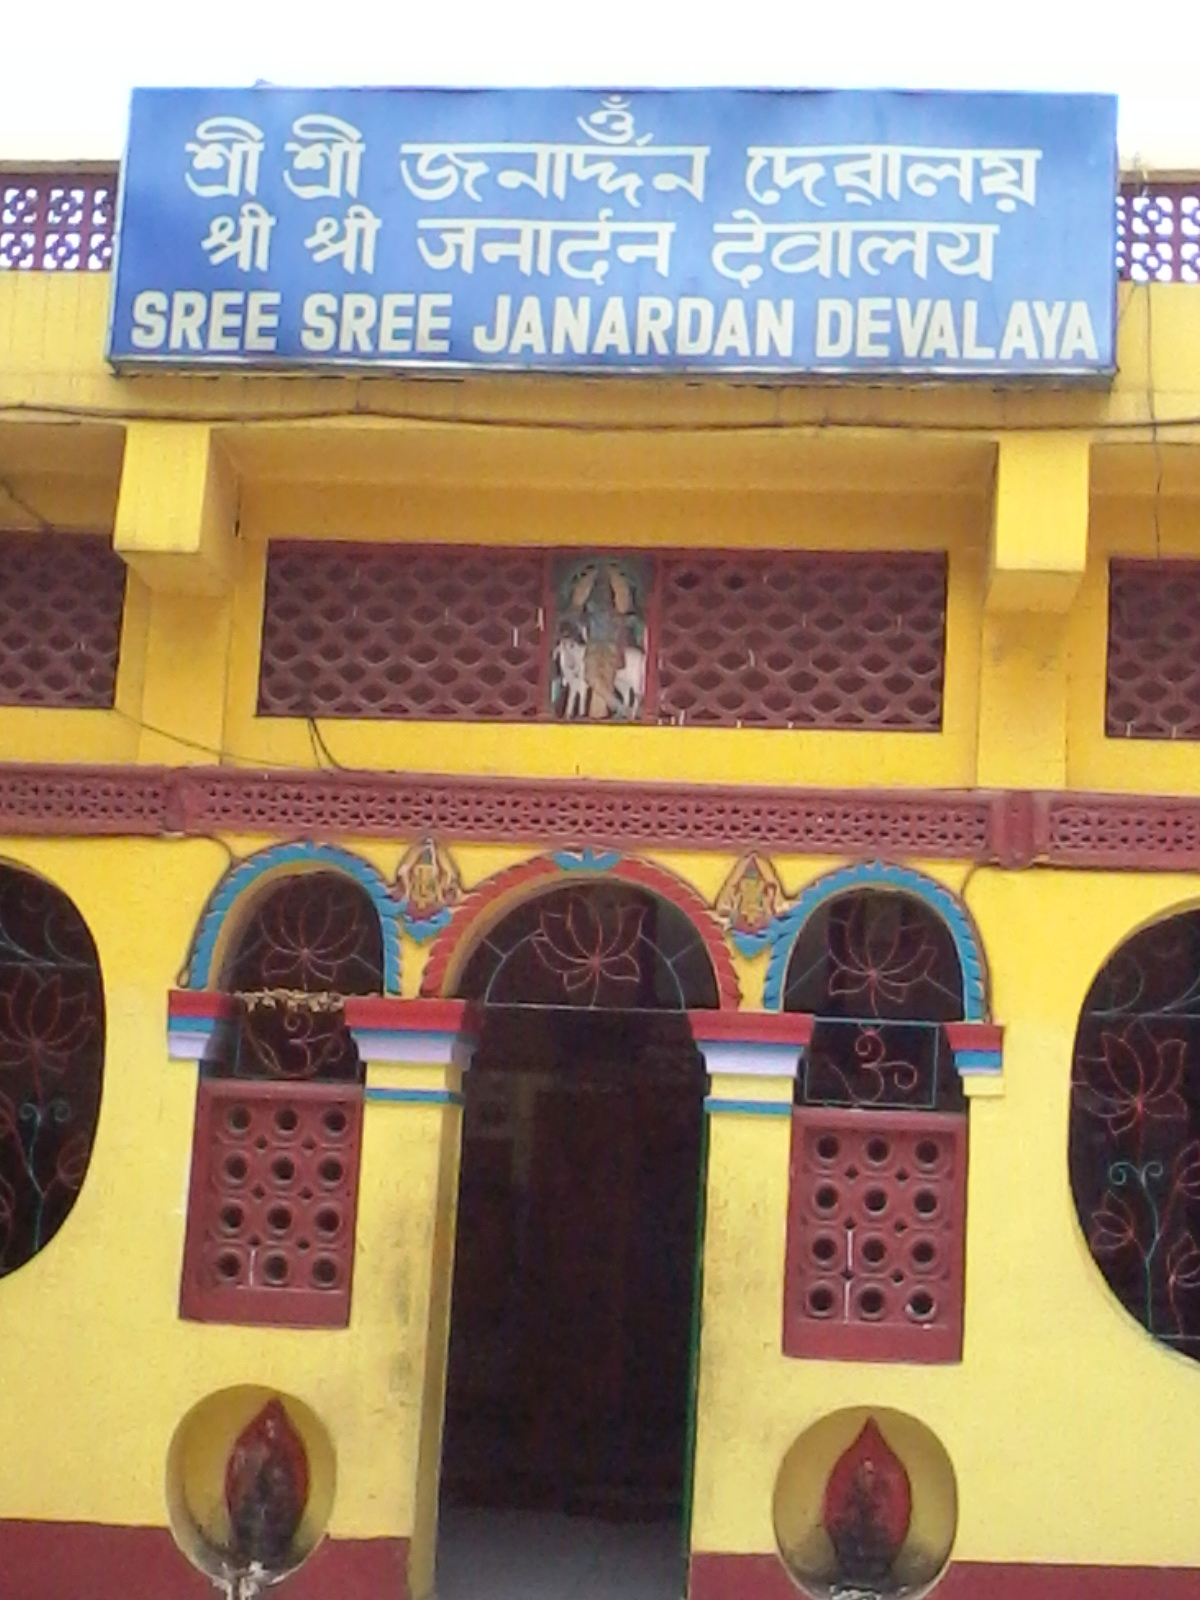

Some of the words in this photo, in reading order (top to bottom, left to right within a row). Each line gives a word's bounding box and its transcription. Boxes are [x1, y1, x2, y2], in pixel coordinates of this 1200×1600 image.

[167, 102, 279, 206] শ্রী
[270, 103, 375, 207] শ্রী
[392, 87, 712, 212] জনার্দ্দন
[737, 139, 1047, 215] দেৱালয়
[188, 190, 287, 276] श्री
[292, 195, 390, 277] श्री
[410, 201, 679, 288] जनार्दन
[704, 201, 1002, 296] देवालय
[124, 284, 287, 360] SREE
[295, 285, 457, 356] SREE
[463, 288, 804, 362] JANARDAN
[808, 292, 1108, 367] DEVALAYA